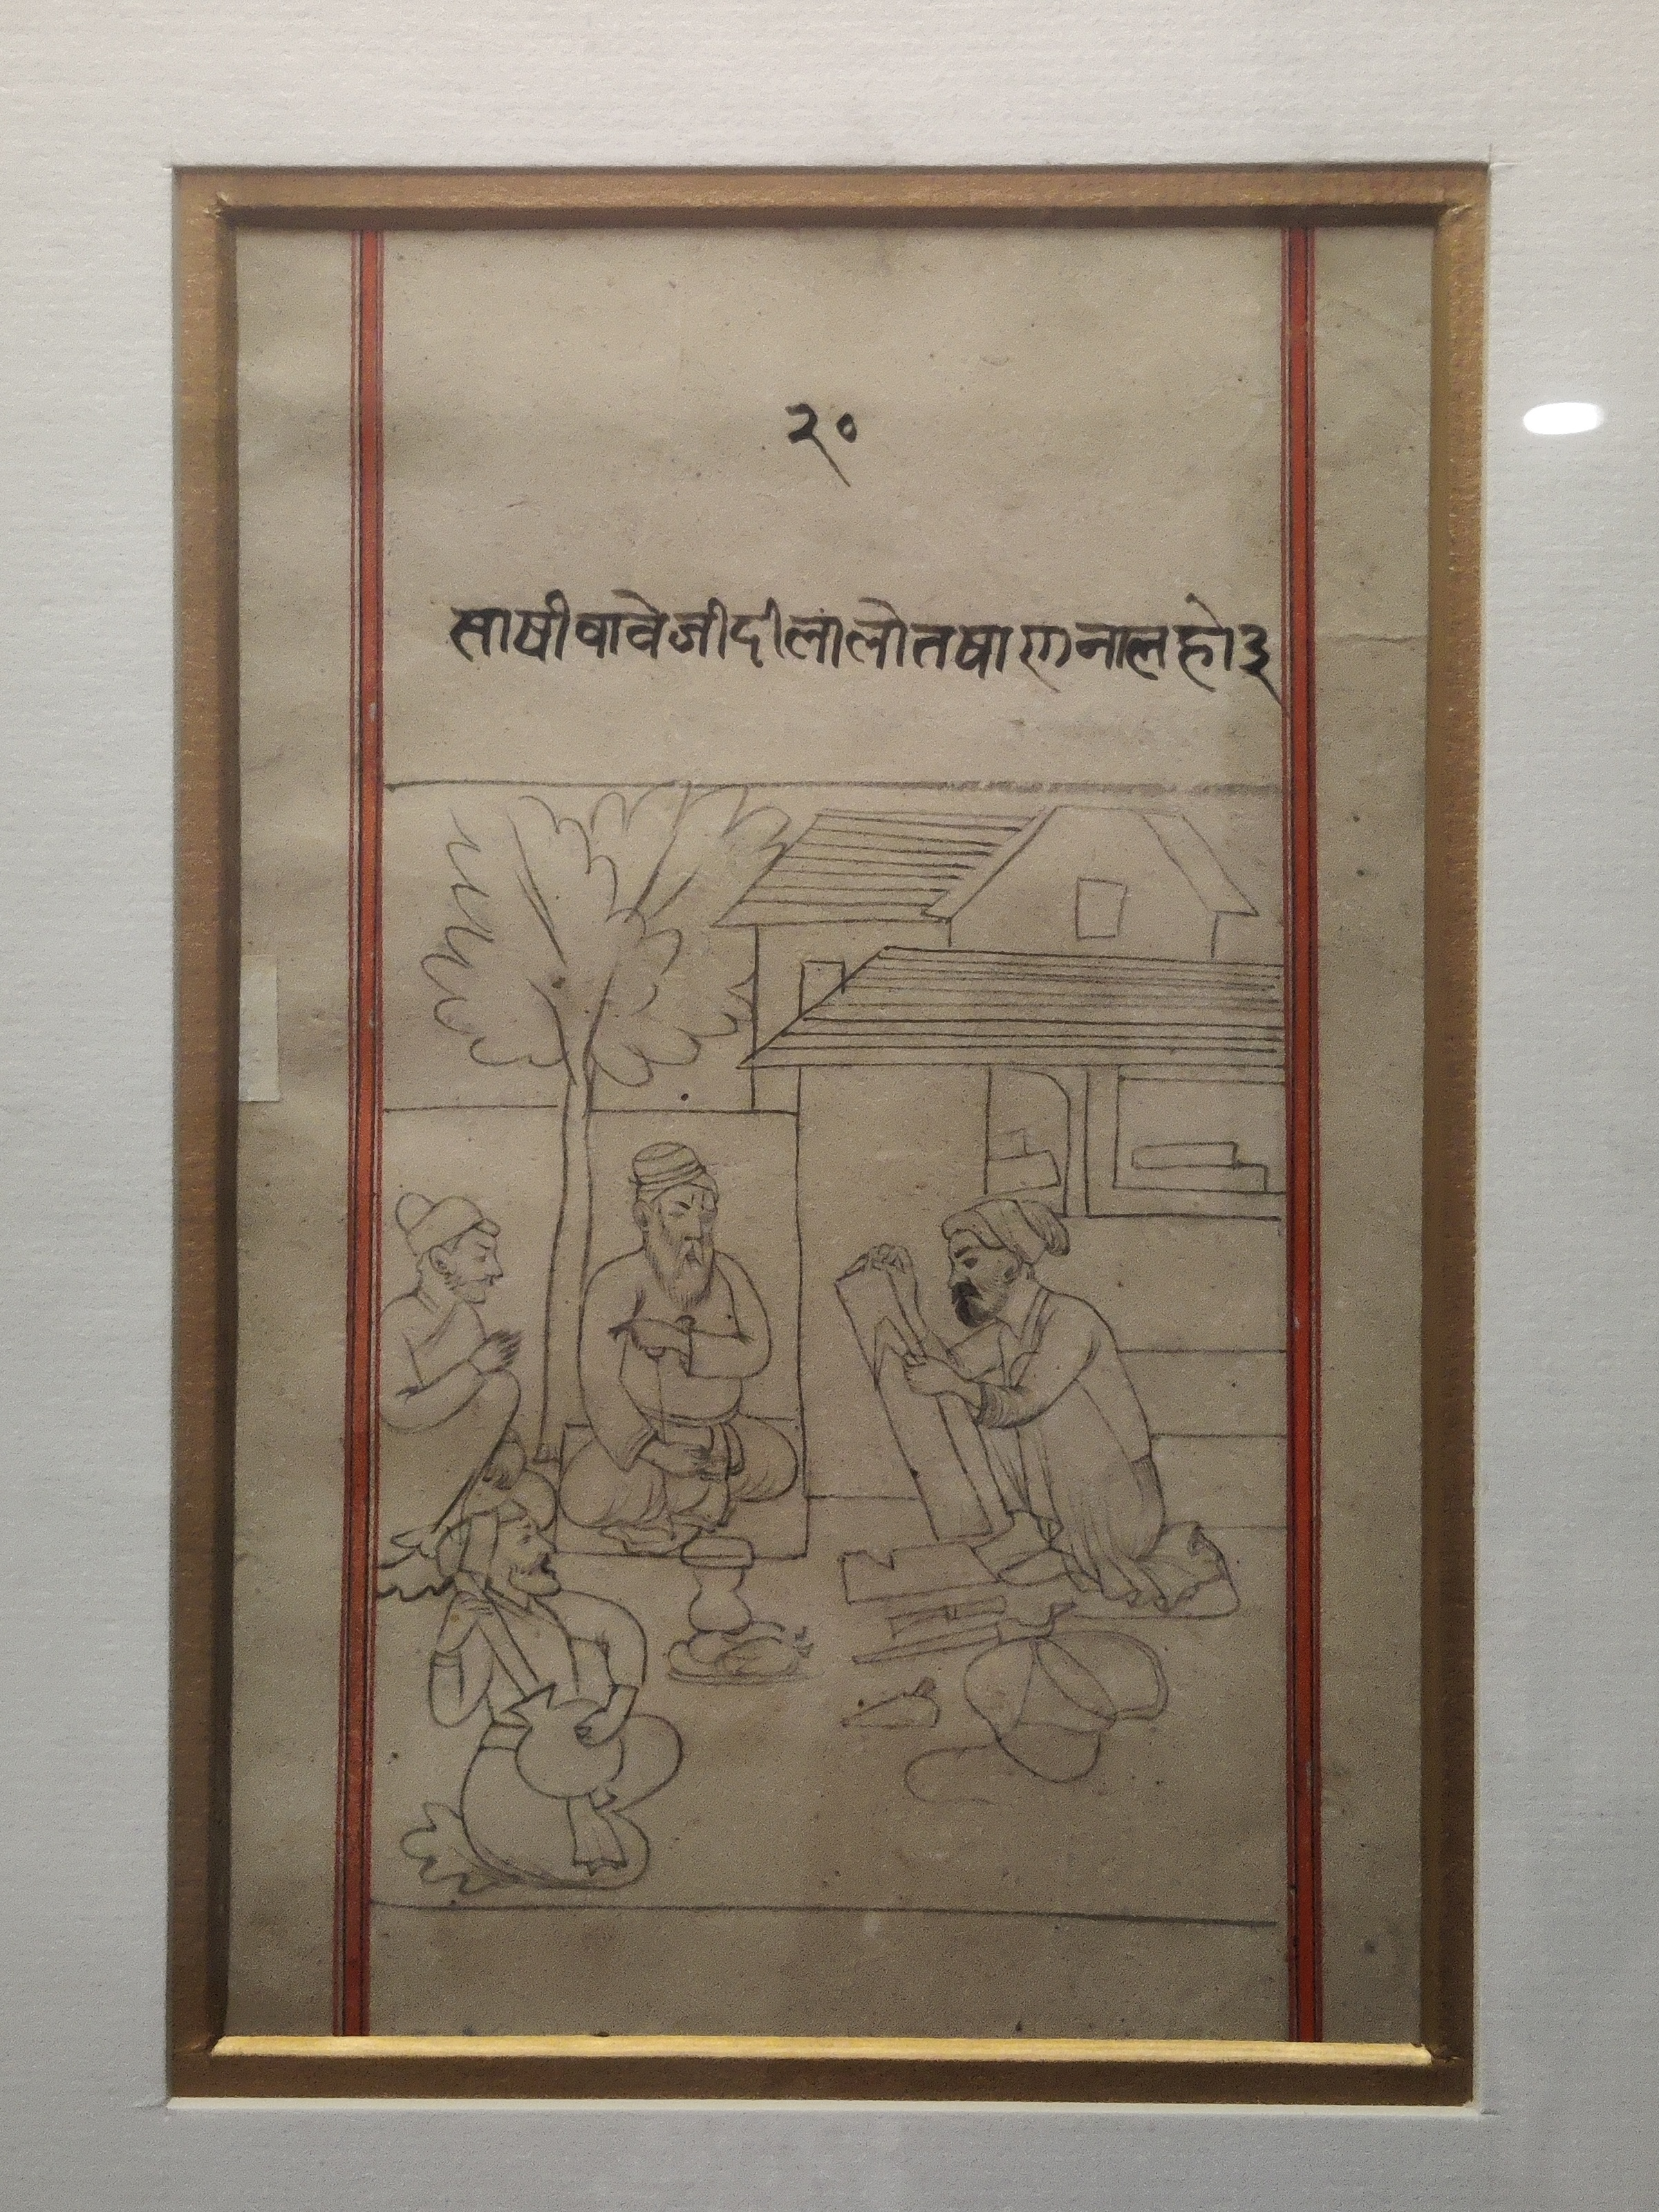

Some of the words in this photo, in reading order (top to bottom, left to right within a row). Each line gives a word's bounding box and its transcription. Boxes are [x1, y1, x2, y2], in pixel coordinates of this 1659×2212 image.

[785, 397, 860, 490] 20
[444, 584, 1014, 683] साषीवावेजीदीलालोतषा
[1015, 588, 1292, 715] एानालहो३